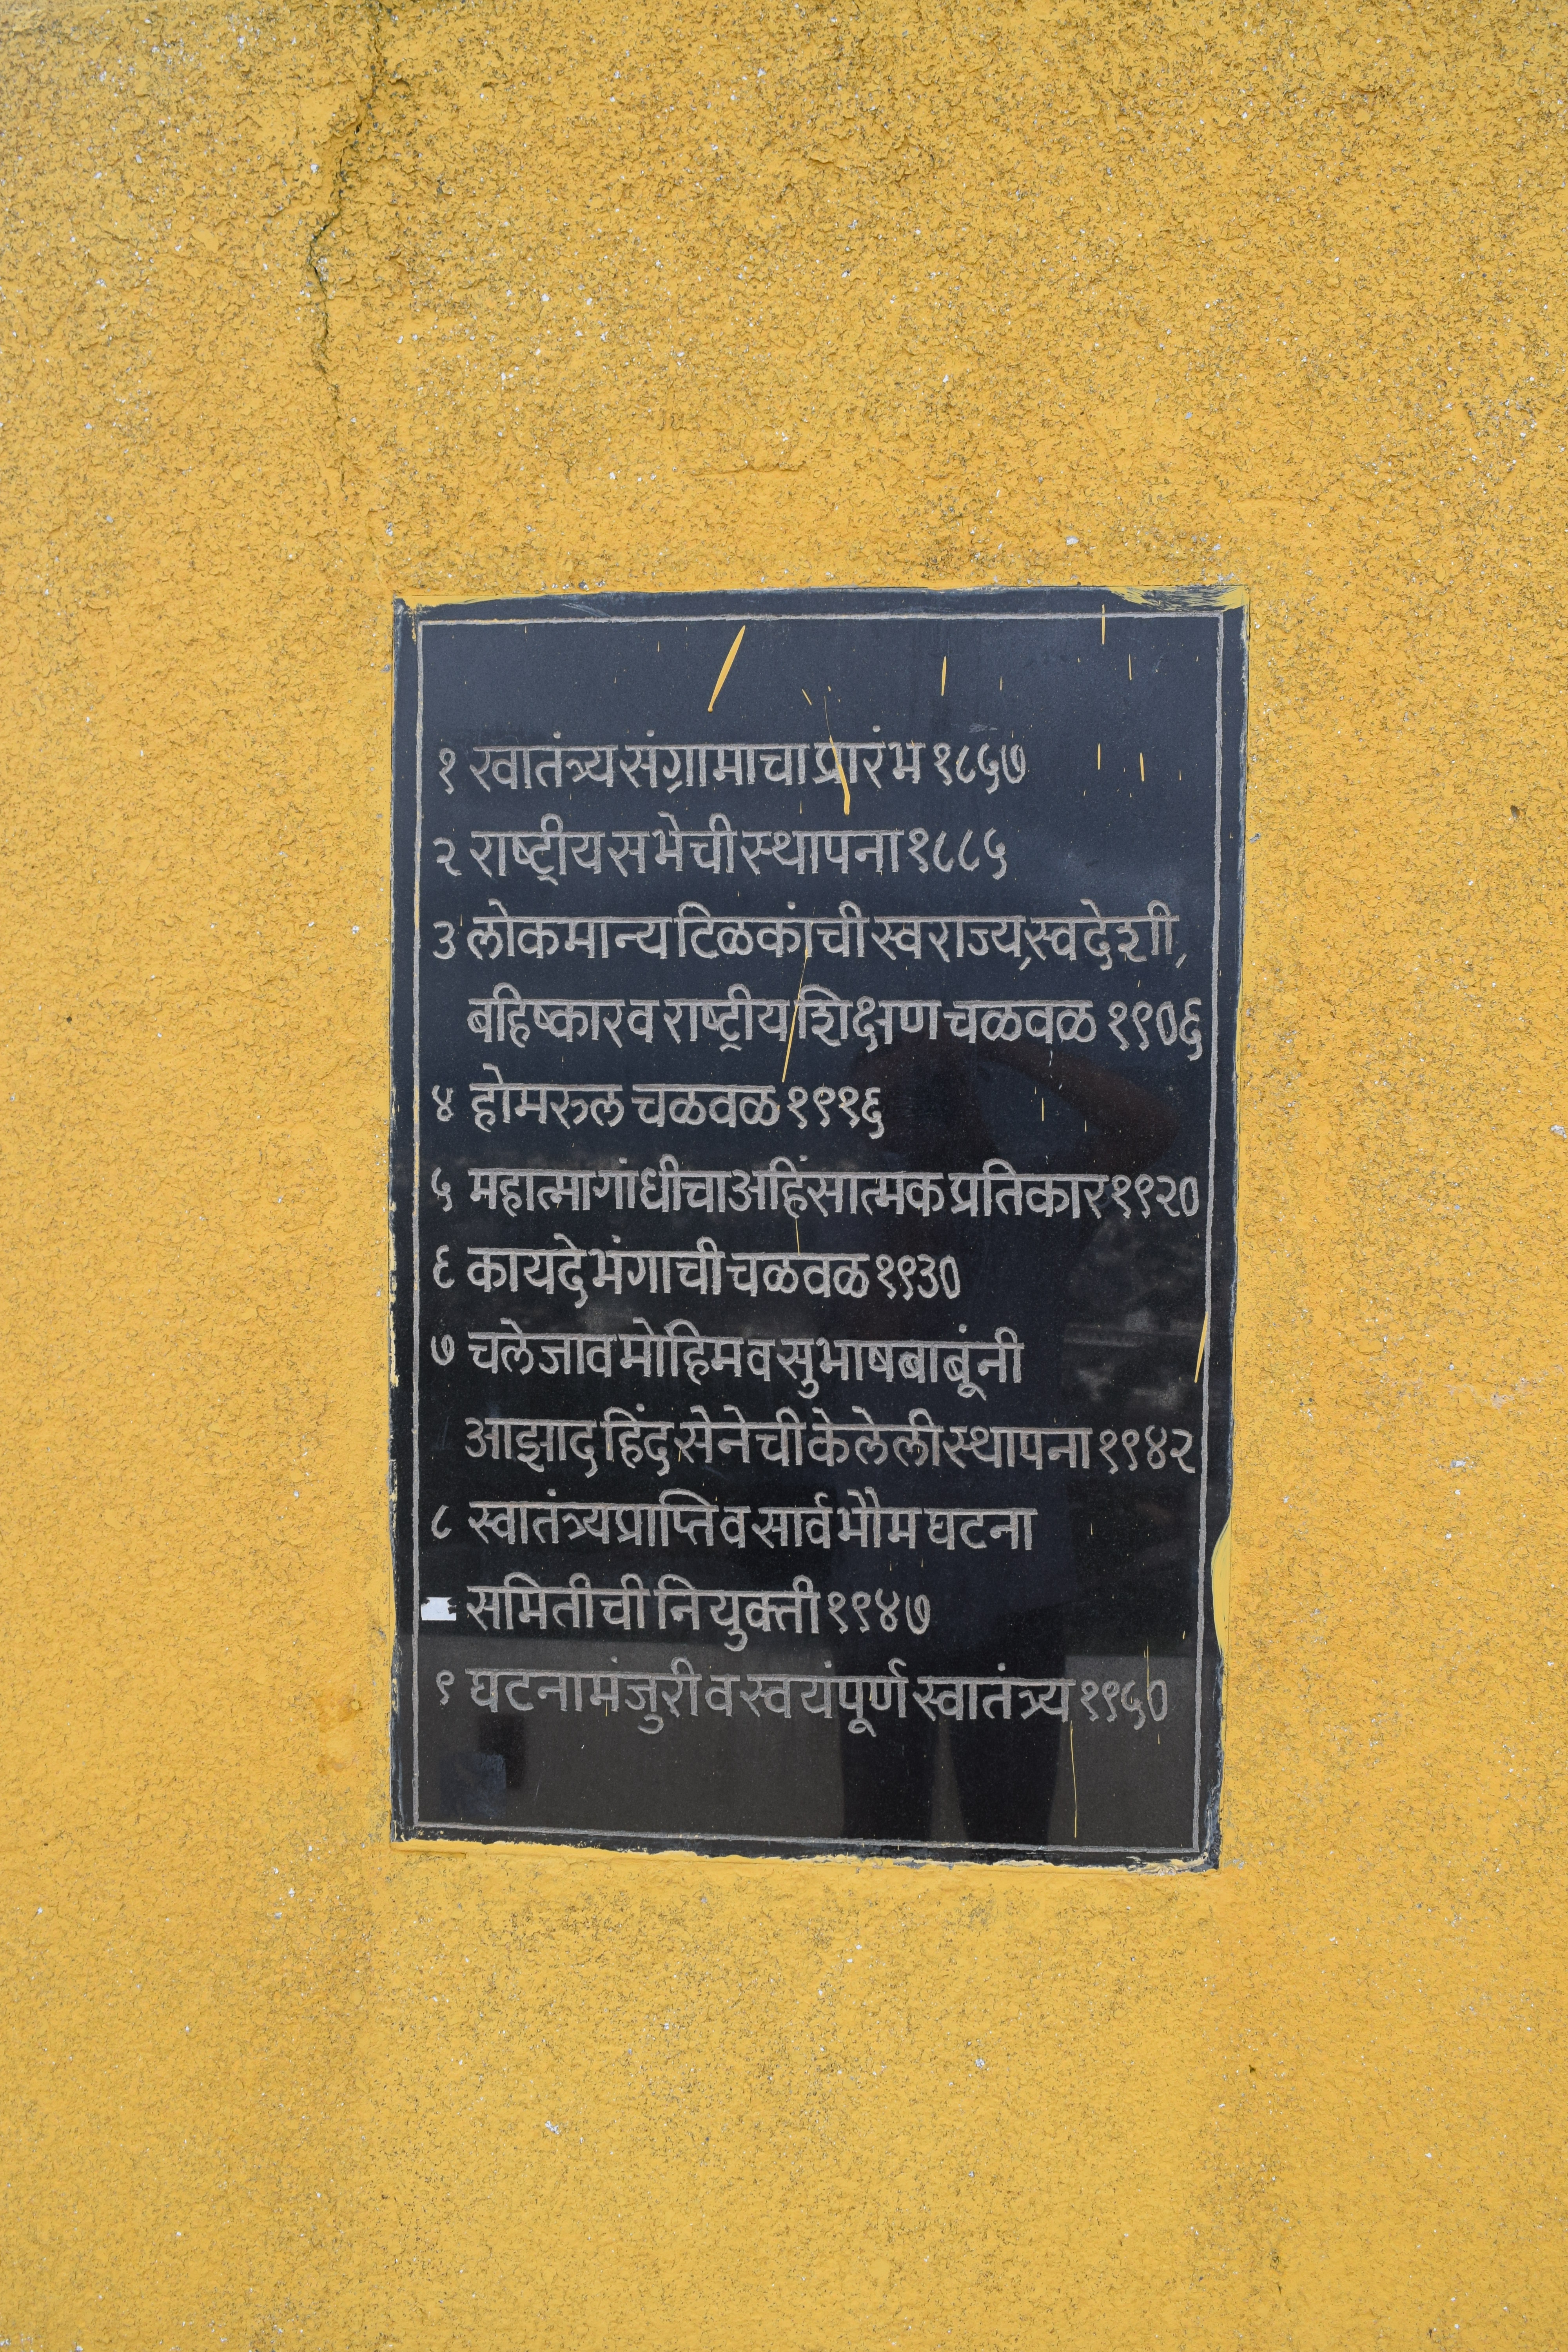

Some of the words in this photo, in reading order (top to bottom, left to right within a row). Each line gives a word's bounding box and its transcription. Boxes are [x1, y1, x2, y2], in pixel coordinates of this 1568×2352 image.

[432, 738, 461, 799] १
[462, 723, 626, 798] खातंत्र्य
[616, 724, 810, 804] संग्रामाचा
[808, 720, 931, 795] प्रारभ
[929, 736, 1034, 803] १८५७
[427, 829, 465, 884] २
[461, 804, 611, 895] राष्ट्रीय
[604, 806, 742, 889] सभेची
[735, 818, 908, 884] स्थापना
[903, 823, 1019, 891] १८८५
[424, 915, 461, 969] 3
[460, 891, 673, 971] लोकमान्य
[672, 891, 873, 967] टिळकांची
[868, 911, 1036, 974] स्वराज्य,
[1022, 884, 1196, 978] स्वदेशी,
[456, 978, 630, 1057] बहिष्कार
[620, 993, 663, 1047] व
[659, 978, 797, 1064] राष्ट्रीय
[791, 978, 946, 1063] शिक्षण
[940, 992, 1102, 1060] चळवळ
[1102, 994, 1208, 1070] १९०६
[426, 1073, 463, 1131] ४
[465, 1057, 630, 1140] होमरुल
[628, 1073, 789, 1134] चळवळ
[781, 1073, 903, 1148] १९१६
[427, 1160, 460, 1218] ५
[459, 1147, 949, 1222] महात्मागांधीचाअहिसात्मक
[946, 1153, 1112, 1227] प्रतिकार
[1109, 1166, 1205, 1225] १९२0
[461, 1228, 594, 1317] कायदे
[586, 1229, 729, 1304] भंगाची
[724, 1244, 876, 1307] चळवळ
[873, 1246, 969, 1308] १९३०
[423, 1327, 461, 1374] ७
[463, 1311, 619, 1385] चलेजाव
[617, 1311, 746, 1390] मोहिमळ
[745, 1329, 780, 1388] व
[772, 1316, 1047, 1409] सुभाषबाबूंनी
[459, 1413, 604, 1483] आझाद
[597, 1399, 680, 1483] हिंद
[668, 1399, 810, 1479] सेनेची
[805, 1399, 948, 1478] केलेली
[941, 1418, 1098, 1479] स्थापना
[1094, 1416, 1200, 1486] १९४२
[424, 1497, 457, 1547] ८
[460, 1483, 722, 1555] स्वातंत्र्यप्राप्ति
[716, 1501, 755, 1554] व
[749, 1484, 837, 1555] सार्व
[834, 1480, 1044, 1562] भौम घटना
[461, 1564, 654, 1645] समितीची
[646, 1568, 824, 1656] नियुक्ती
[826, 1582, 935, 1646] १९४७
[426, 1664, 462, 1711] ९
[459, 1650, 707, 1740] घटनामंजुरी
[702, 1669, 742, 1722] व
[737, 1650, 913, 1744] स्वयंपूर्ण
[909, 1657, 1082, 1742] स्वातंत्र्य
[1074, 1665, 1179, 1738] १९५०